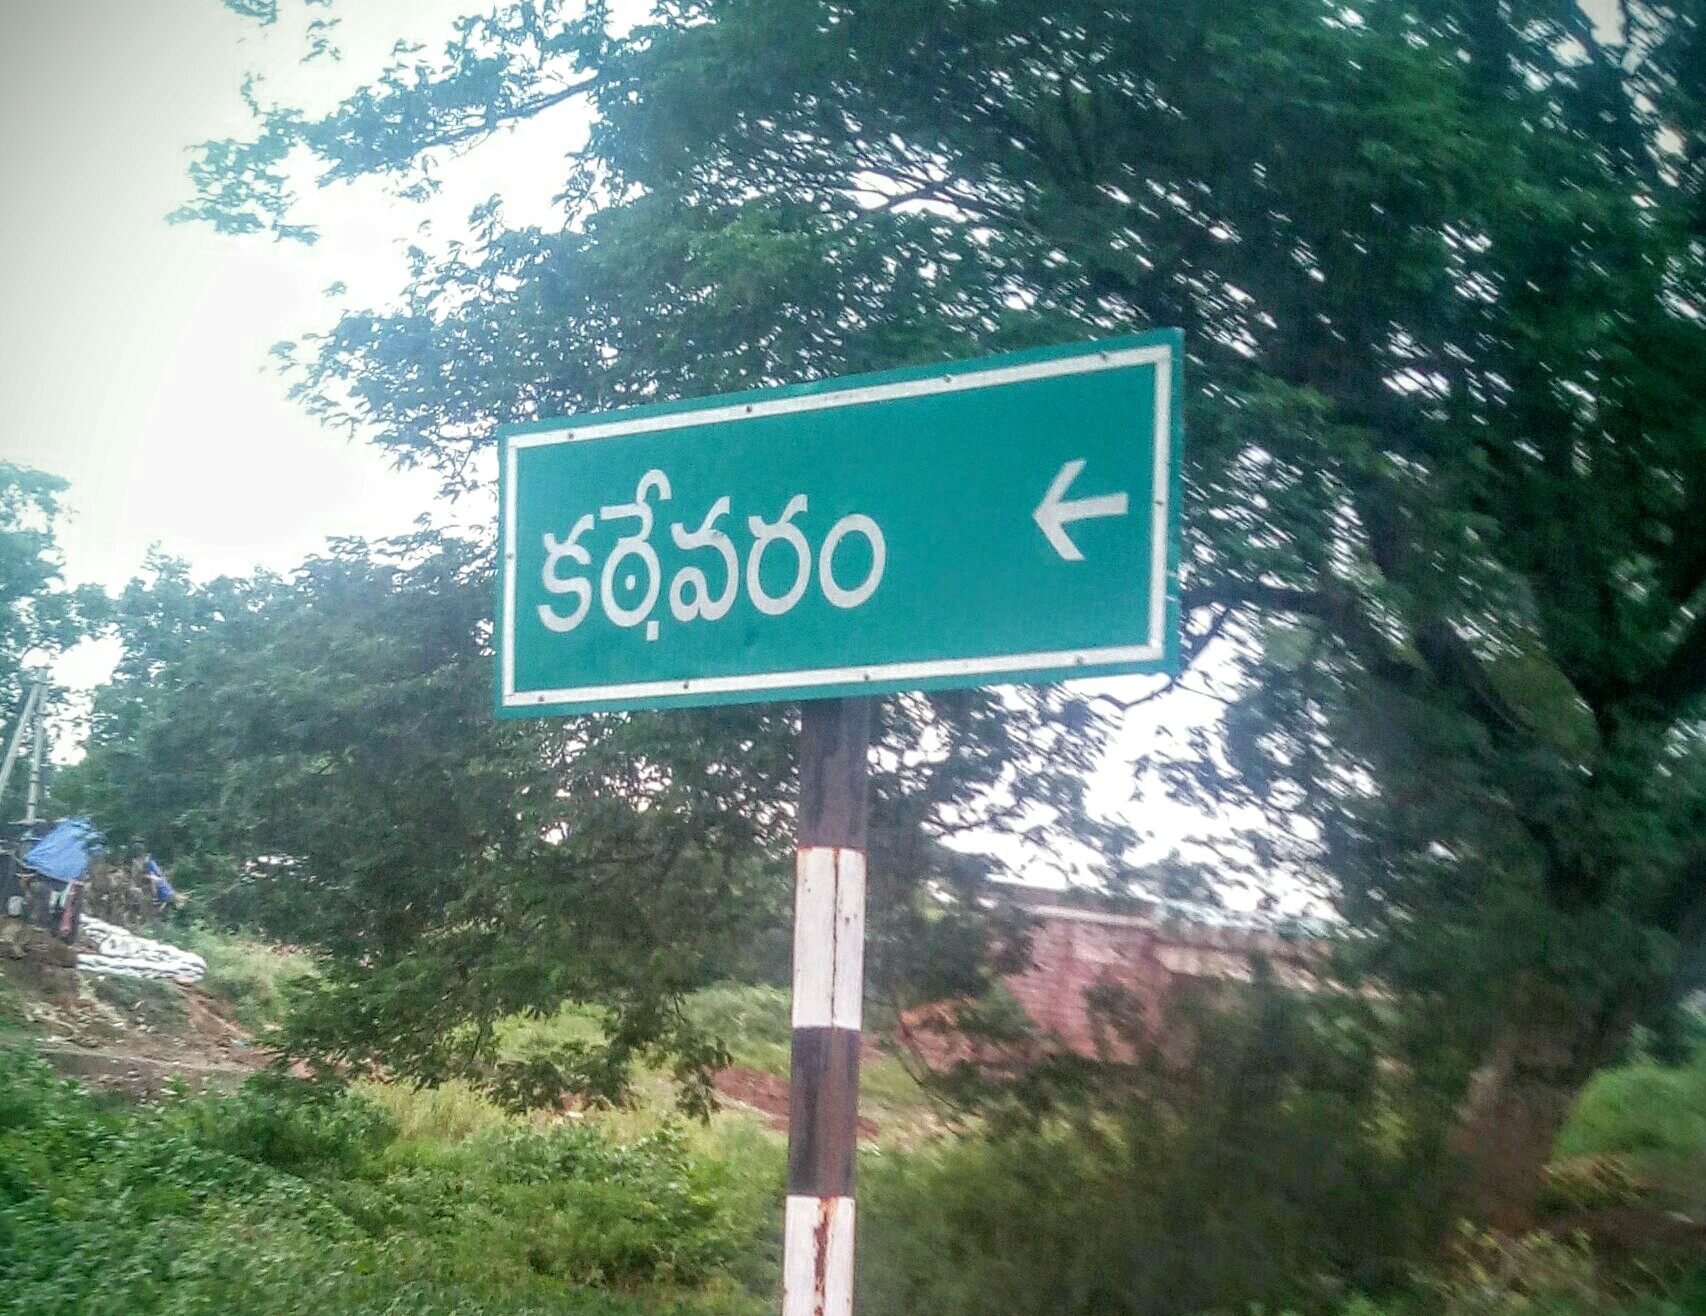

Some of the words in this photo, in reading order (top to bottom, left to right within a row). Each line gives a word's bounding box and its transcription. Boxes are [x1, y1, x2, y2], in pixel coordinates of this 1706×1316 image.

[524, 450, 896, 654] కఠేవరం